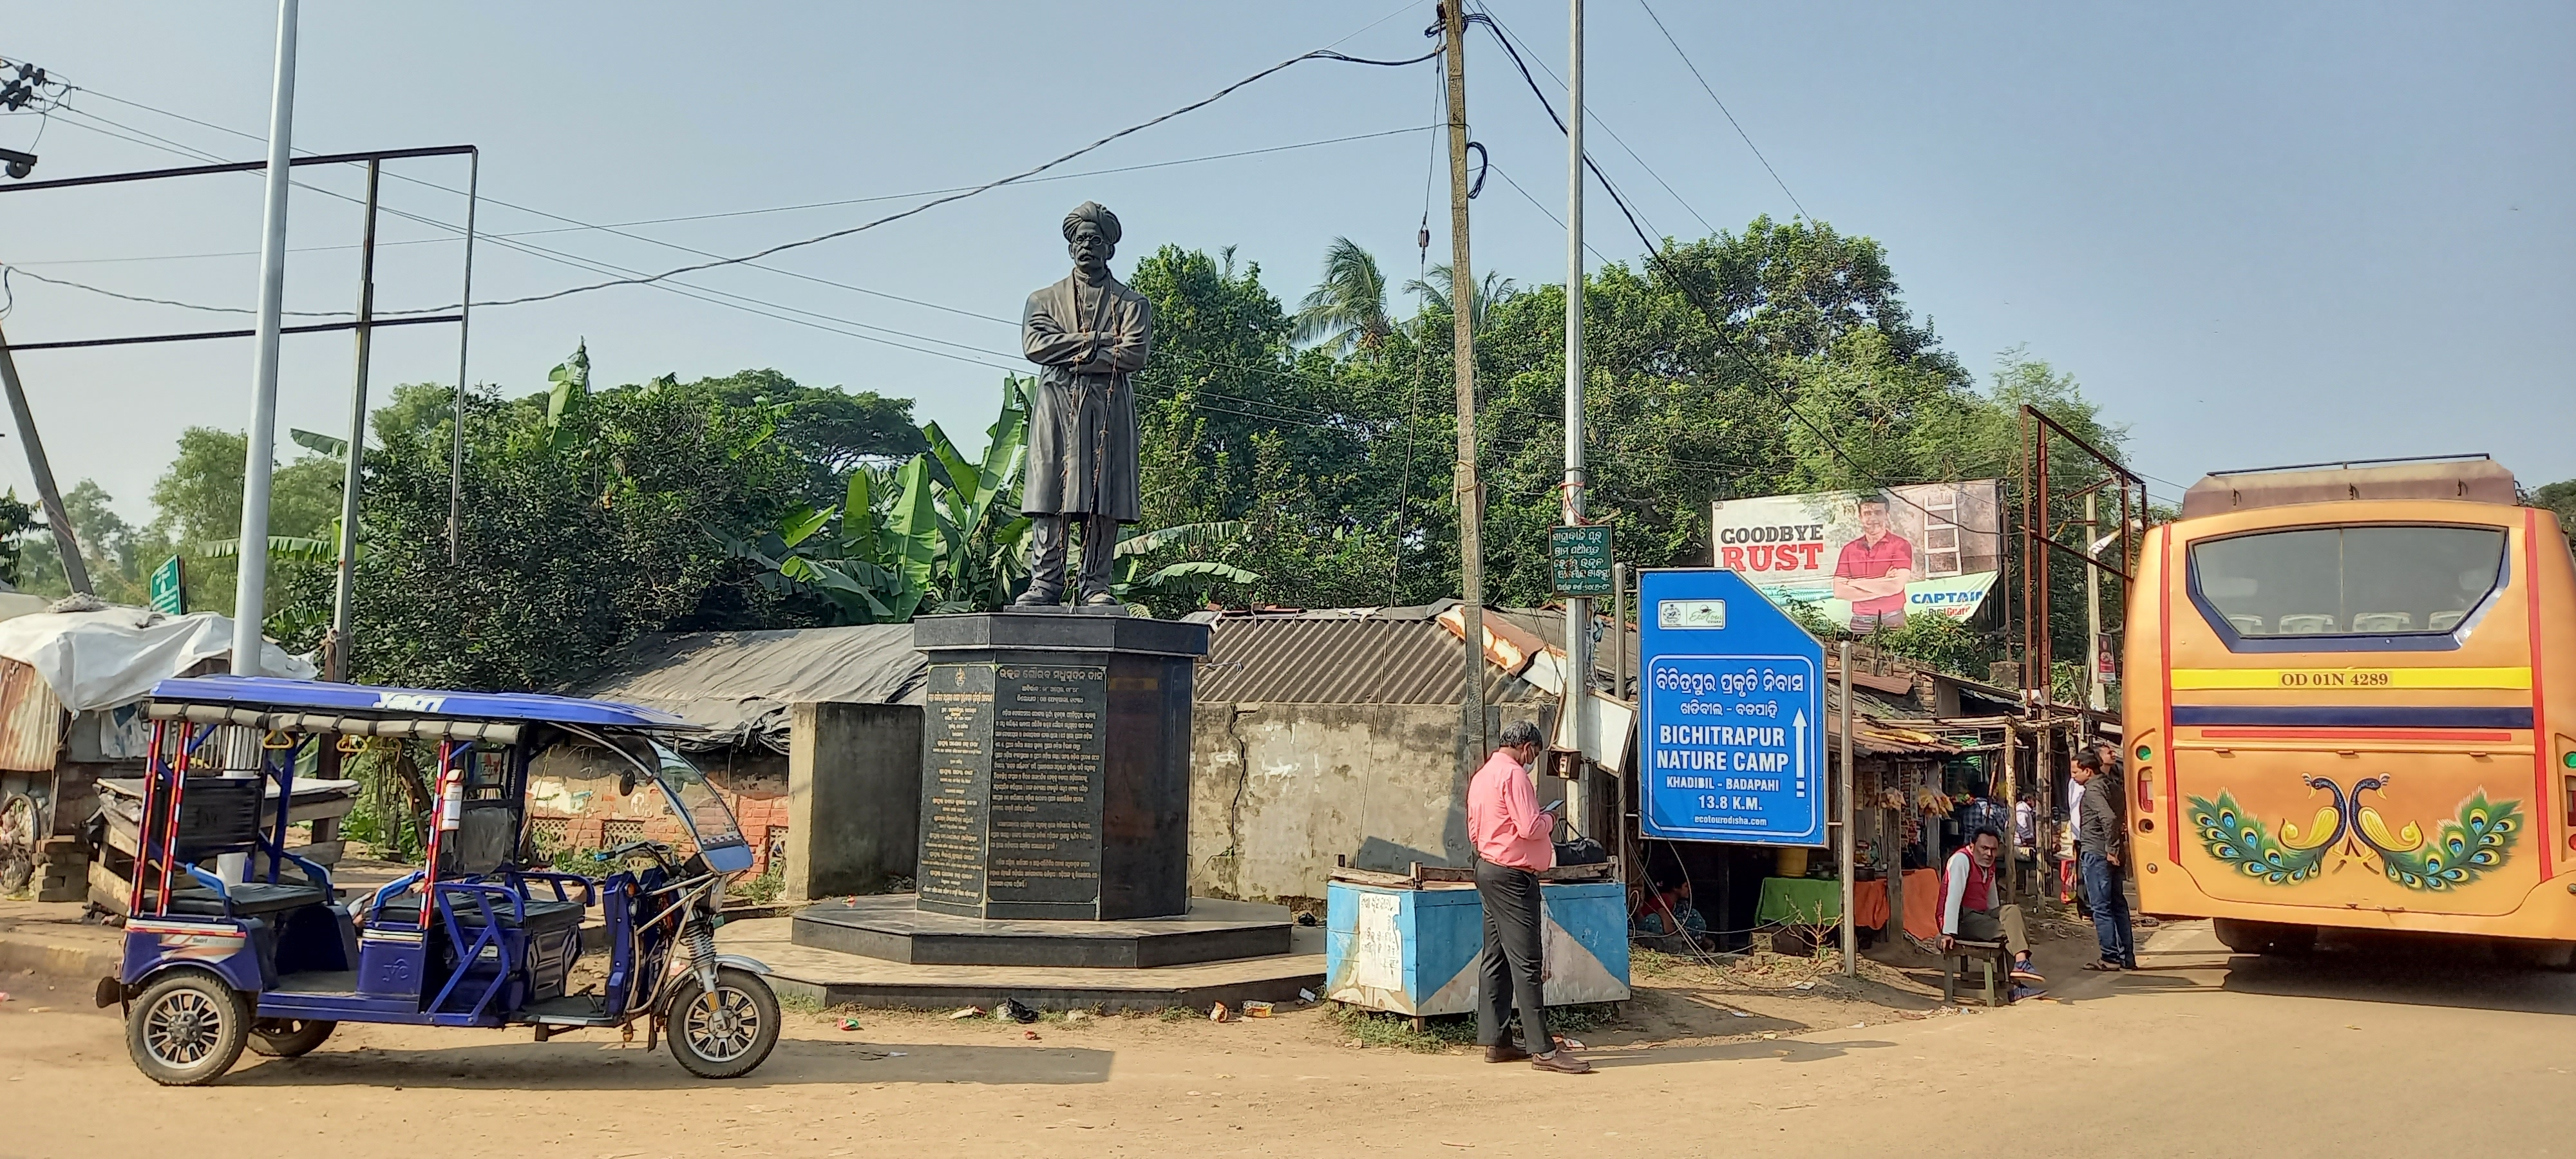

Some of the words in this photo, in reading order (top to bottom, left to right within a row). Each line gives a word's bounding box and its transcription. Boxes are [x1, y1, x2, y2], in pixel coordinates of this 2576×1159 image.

[1714, 521, 1826, 547] GOODBYE
[1909, 589, 1985, 607] CAPTAIN
[1020, 663, 1053, 684] ଗୌରବ
[1046, 666, 1088, 684] ମଧୁସୂଦନ
[1651, 663, 1719, 699] ବିଚିତ୍ରପୁର
[1718, 662, 1763, 702] ପ୍ରସ୍ତୁତି
[1757, 660, 1806, 696] ନିବାସ
[2276, 668, 2349, 690] OD01N
[2347, 668, 2393, 688] 4289
[1676, 693, 1727, 719] ଖତିବୀଲ
[1733, 693, 1781, 722] ବଡପାହି
[1657, 723, 1788, 751] BICHITRAPUR
[1651, 748, 1730, 776] NATURE
[1729, 748, 1793, 778] CAMP
[1662, 773, 1718, 793] KHADIBIL
[1720, 775, 1781, 795] BADAPAHI
[1694, 792, 1730, 814] 13.8
[1729, 793, 1766, 814] K.M.
[1690, 812, 1770, 827] ecotourodisha.com